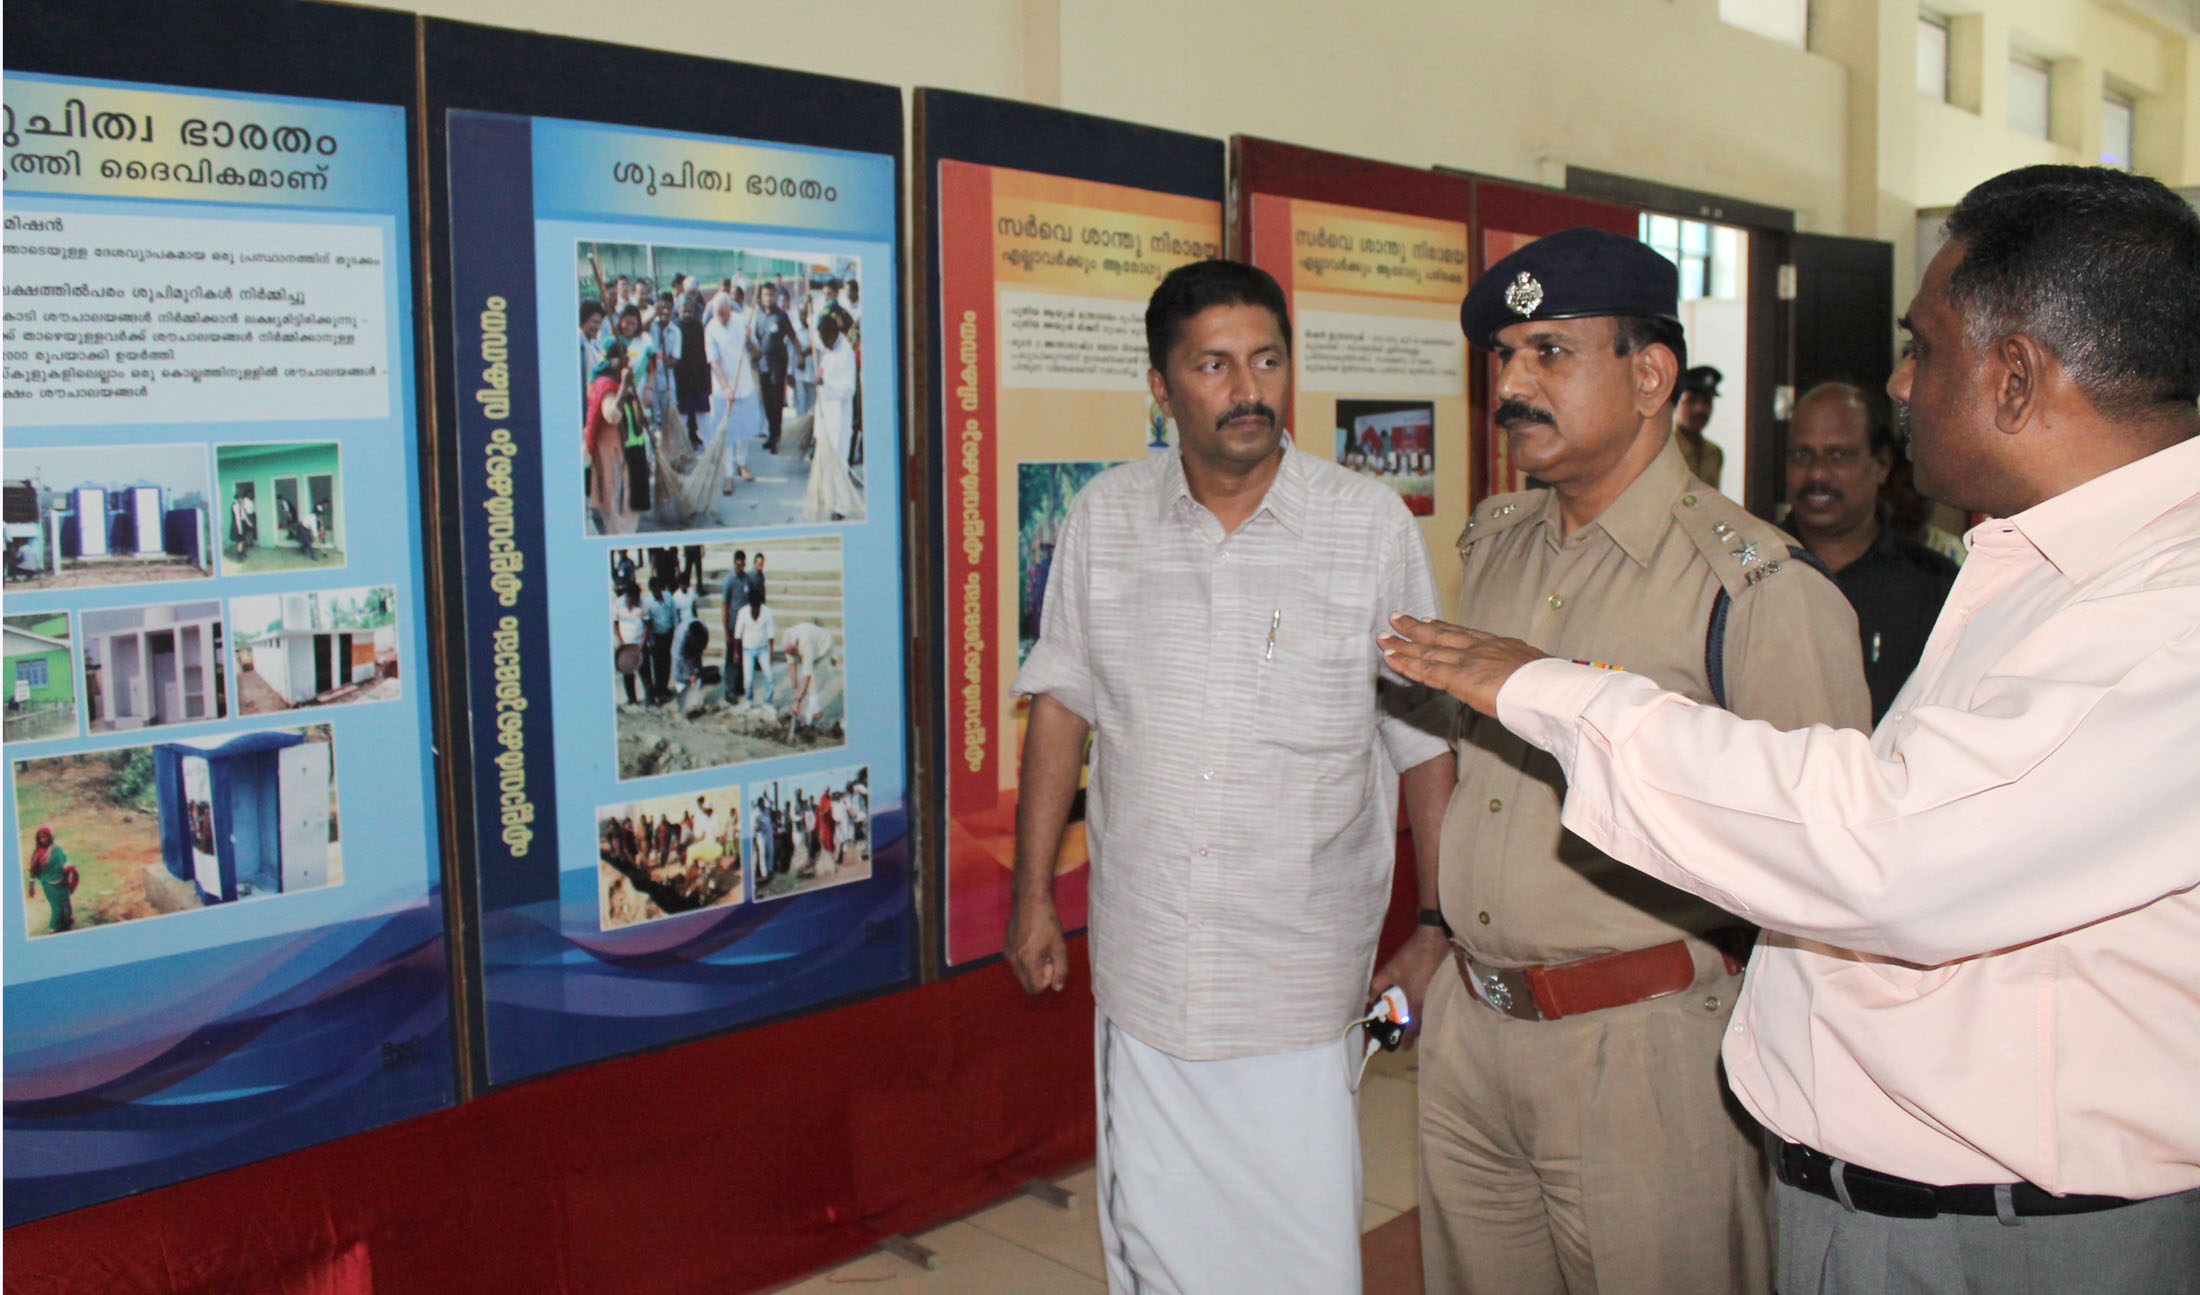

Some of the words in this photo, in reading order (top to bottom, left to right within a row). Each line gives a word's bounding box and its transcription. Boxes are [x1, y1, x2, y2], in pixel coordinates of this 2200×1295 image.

[21, 84, 160, 145] ചിത്വ
[179, 113, 339, 160] ഭാരതം
[7, 148, 87, 179] ത്തി
[99, 154, 335, 196] ദൈവികമാണ്
[610, 153, 734, 202] ശുചിത്വ
[746, 171, 839, 206] ഭാരതം
[3, 209, 68, 237] മിഷൻ
[993, 207, 1077, 247] സർവെ
[1075, 216, 1146, 263] ശാന്തു
[1147, 226, 1225, 263] നിരാമയി
[1294, 221, 1359, 256] സർവെ
[1354, 228, 1409, 267] ശാന്തു
[1403, 231, 1469, 269] നീരാമയ
[7, 277, 130, 304] ക്ഷത്തിൽപരം
[130, 280, 238, 307] ശുചിമുറികൾ
[2, 305, 41, 325] കാടി
[18, 322, 155, 349] താഴെയുള്ളവർക്ക്
[40, 307, 156, 328] ശൗചാലയങ്ങൾ
[32, 345, 116, 368] രൂപയാക്കി
[472, 290, 513, 421] വികസനം
[953, 306, 983, 417] വികസനം
[35, 381, 152, 401] ശൗചാലയങ്ങൾ
[958, 413, 989, 571] എല്ലാവർക്കും
[479, 425, 528, 611] എല്ലാവർക്കും
[957, 569, 988, 778] എല്ലാവർക്കുമൊപ്പം
[491, 611, 542, 859] എല്ലാവർക്കുമൊപ്പം